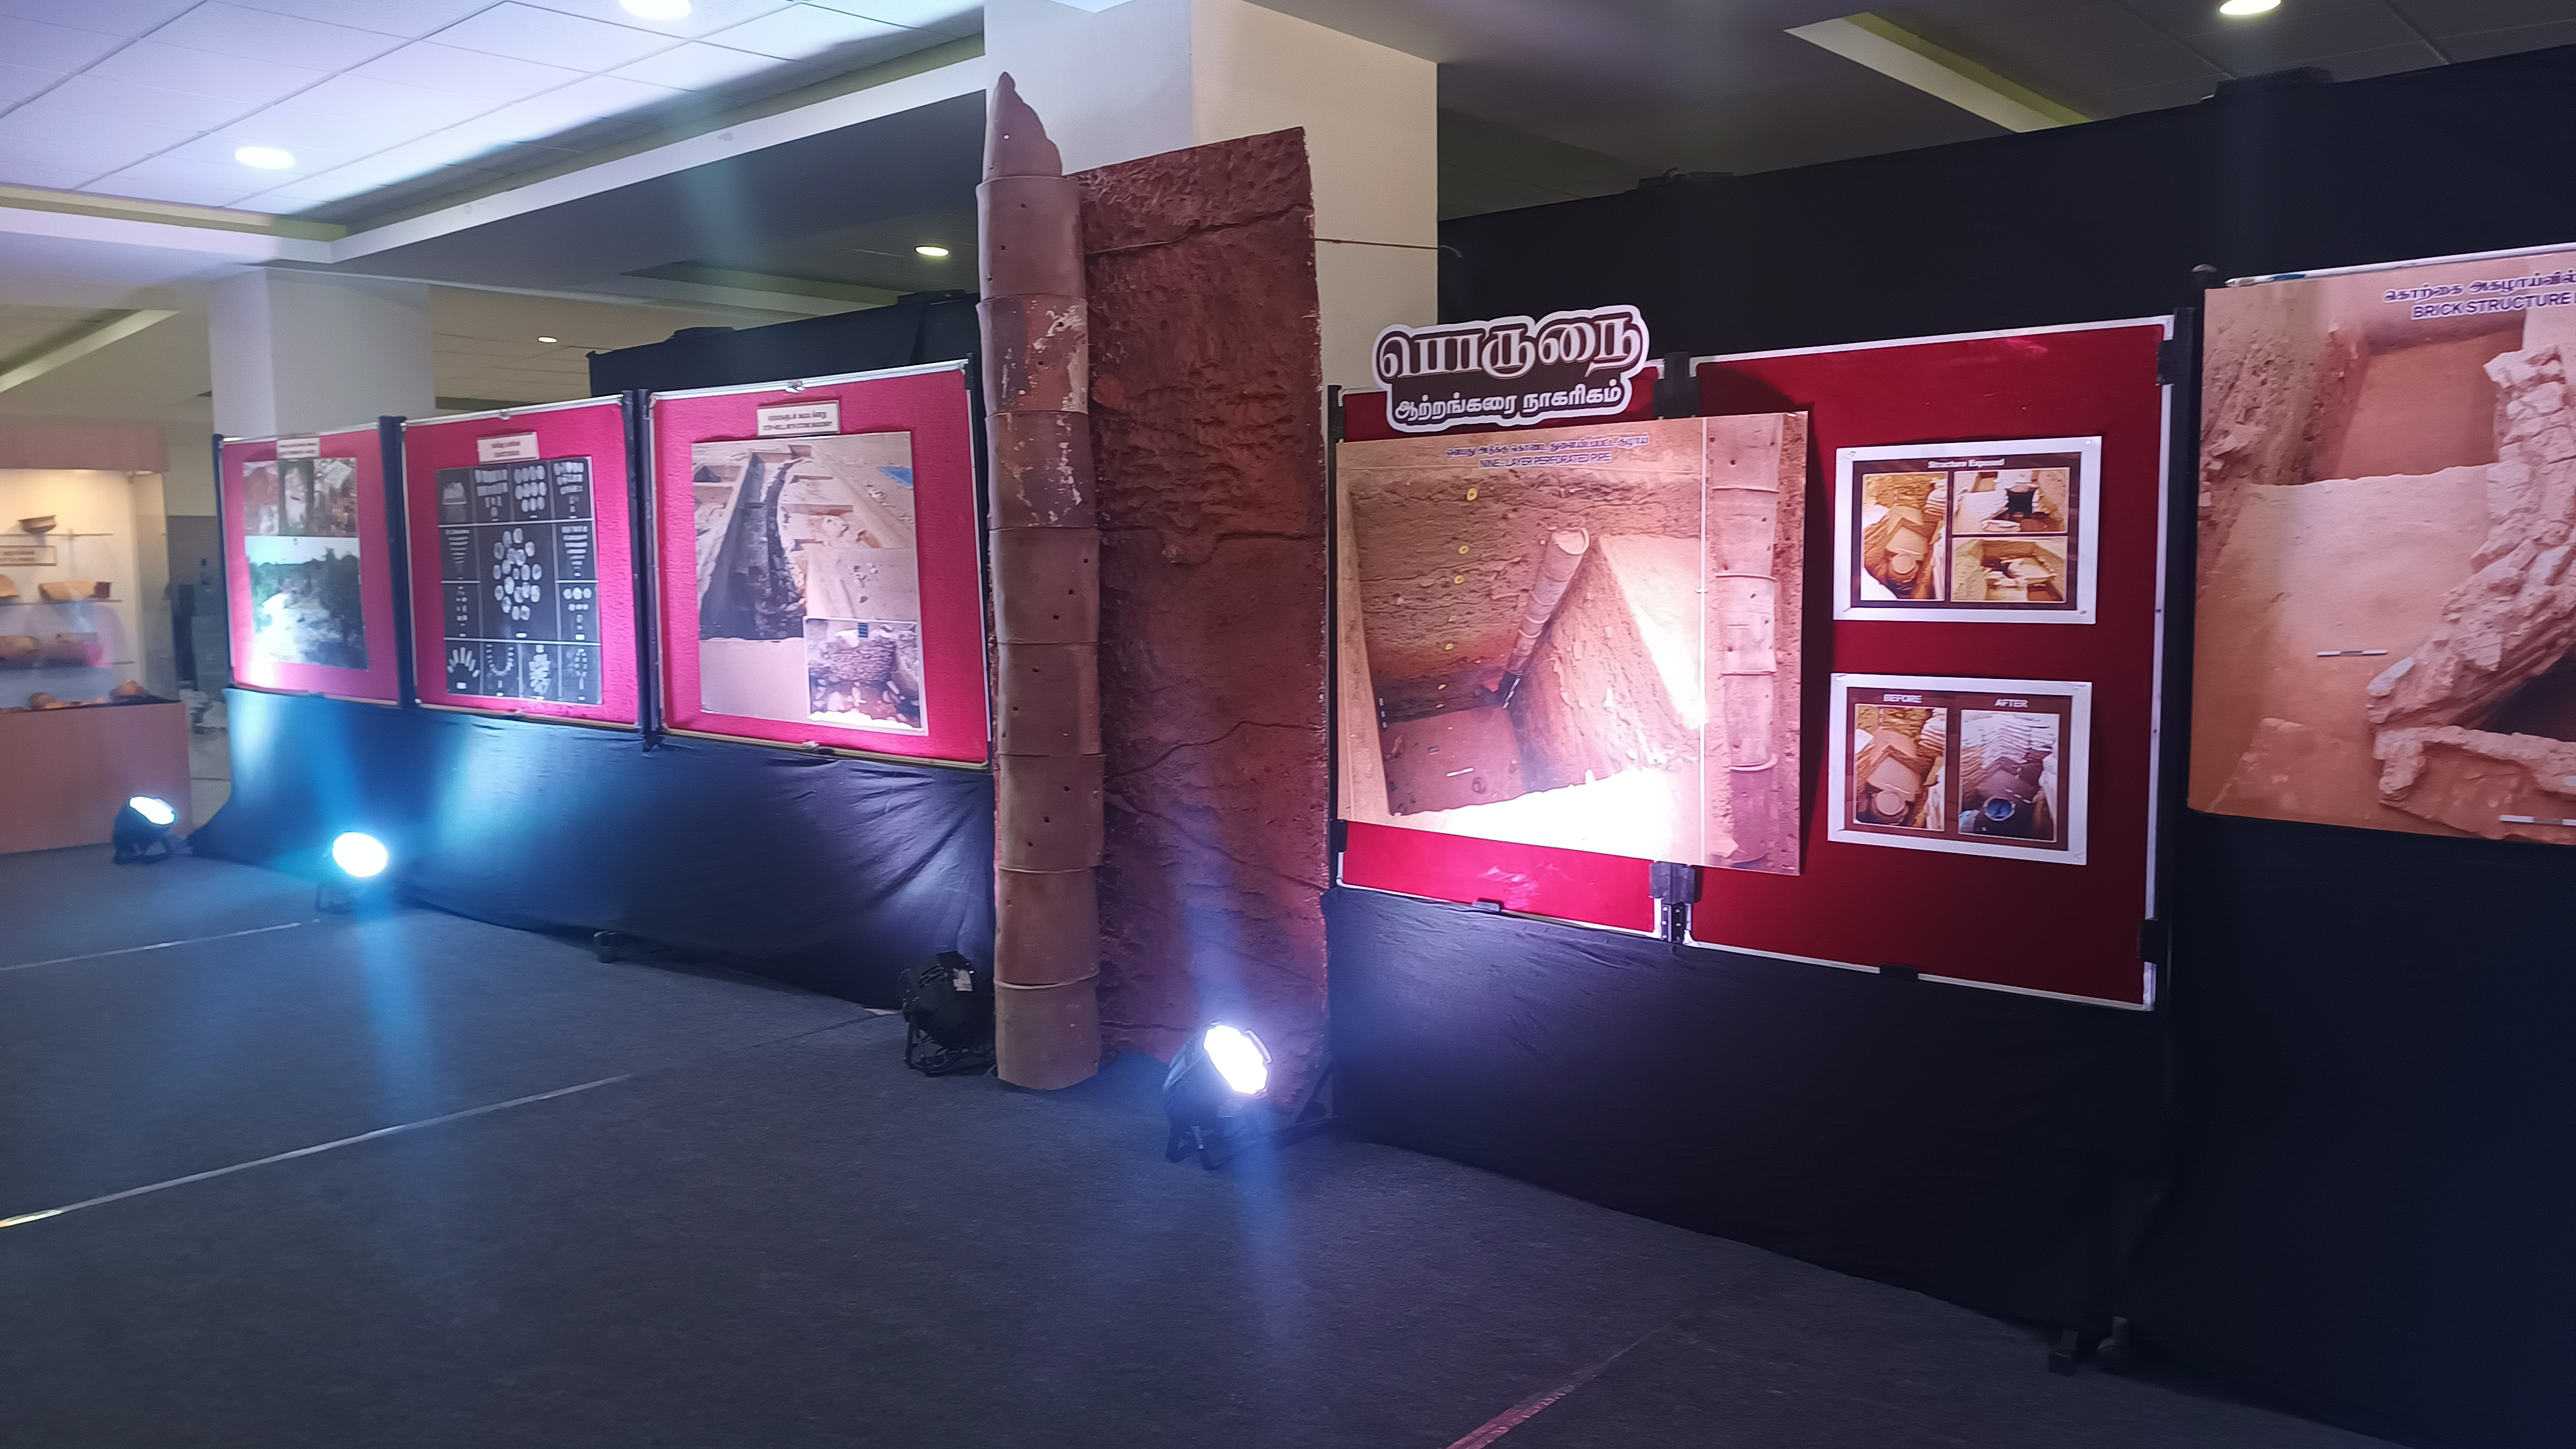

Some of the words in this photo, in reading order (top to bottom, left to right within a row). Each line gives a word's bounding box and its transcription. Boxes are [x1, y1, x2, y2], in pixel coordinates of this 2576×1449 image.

[2381, 277, 2465, 306] கொற்கை
[2407, 297, 2465, 323] BRICK
[2464, 288, 2573, 317] STRUCTURE
[2465, 264, 2575, 300] அகழாய்வில்
[1370, 305, 1654, 384] பொருநை
[1392, 389, 1521, 423] ஆற்றங்கரை
[1521, 377, 1628, 416] நாகரிகம்
[1441, 441, 1479, 461] ஒன்பது
[1474, 440, 1513, 459] அடுக்கு
[1507, 437, 1551, 456] கொண்ட
[1613, 428, 1653, 452] குழாம்
[1879, 691, 1924, 707] BEFORE
[1991, 696, 2030, 710] AFTER